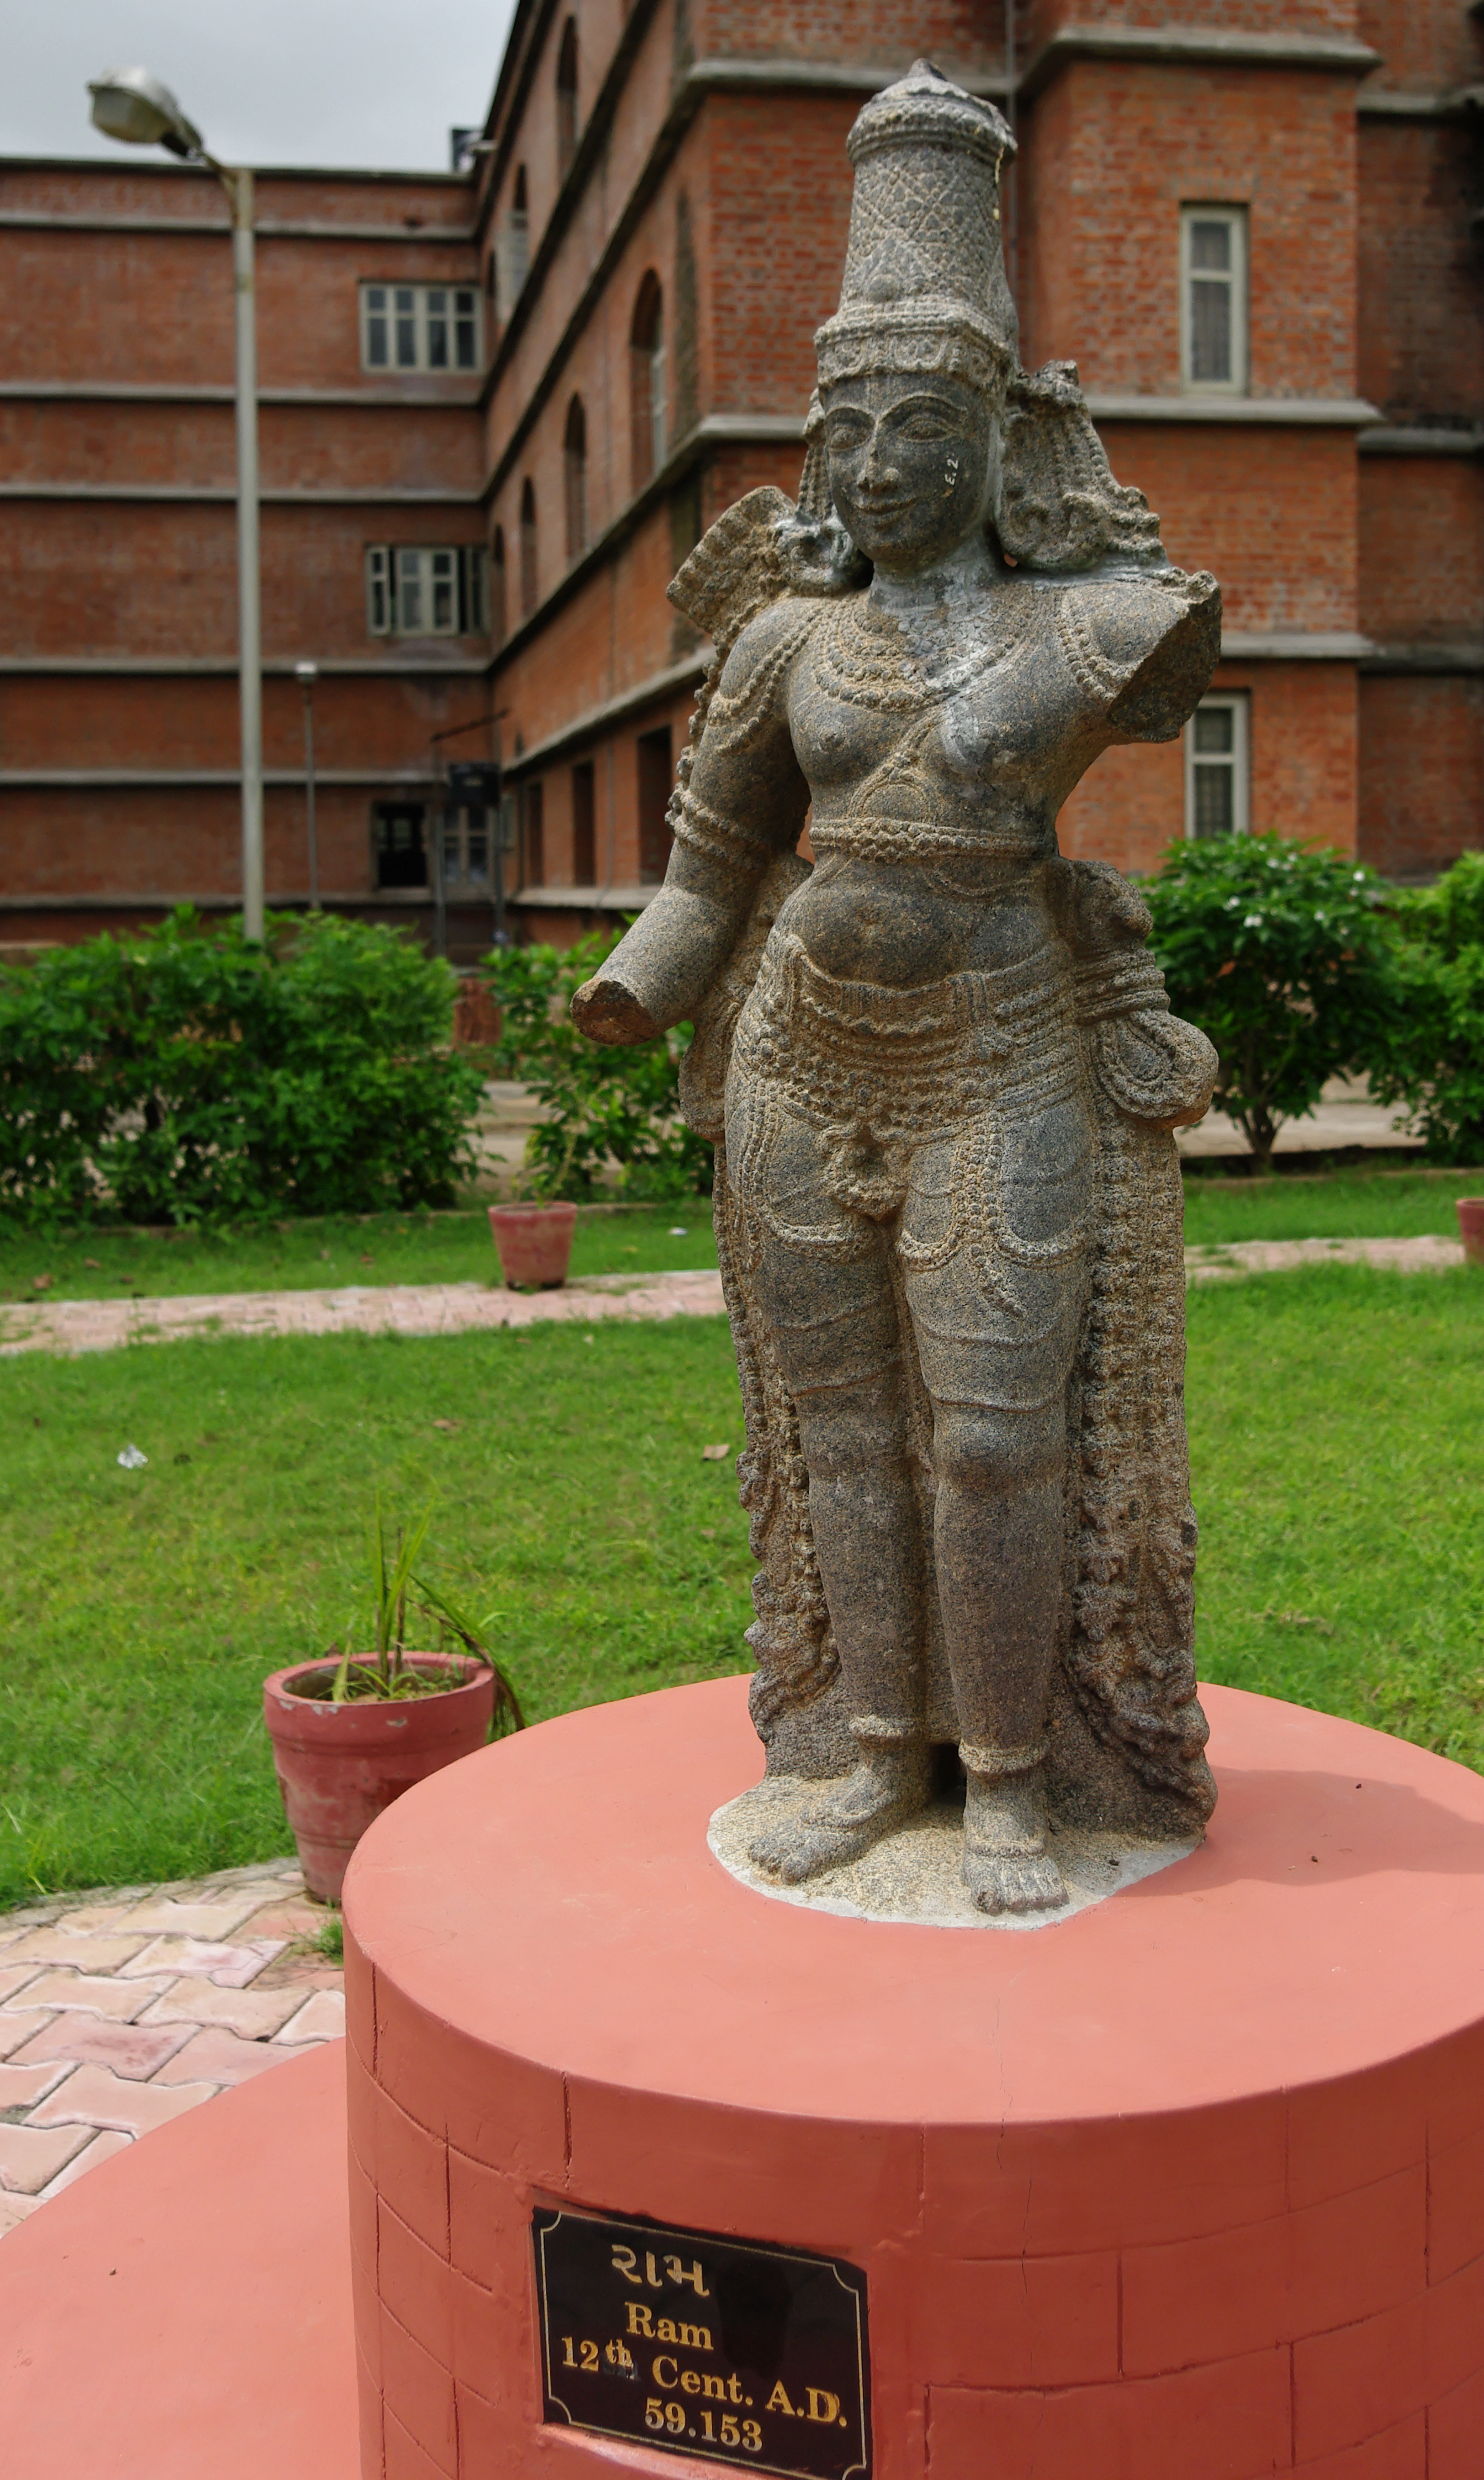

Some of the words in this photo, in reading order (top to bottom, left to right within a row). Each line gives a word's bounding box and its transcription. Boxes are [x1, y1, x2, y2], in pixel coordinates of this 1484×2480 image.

[599, 2240, 717, 2299] રામ
[555, 2329, 640, 2380] 12th
[618, 2297, 725, 2358] Ram
[647, 2352, 757, 2410] Cent.
[636, 2393, 773, 2459] 59.153
[759, 2375, 854, 2430] A.D.